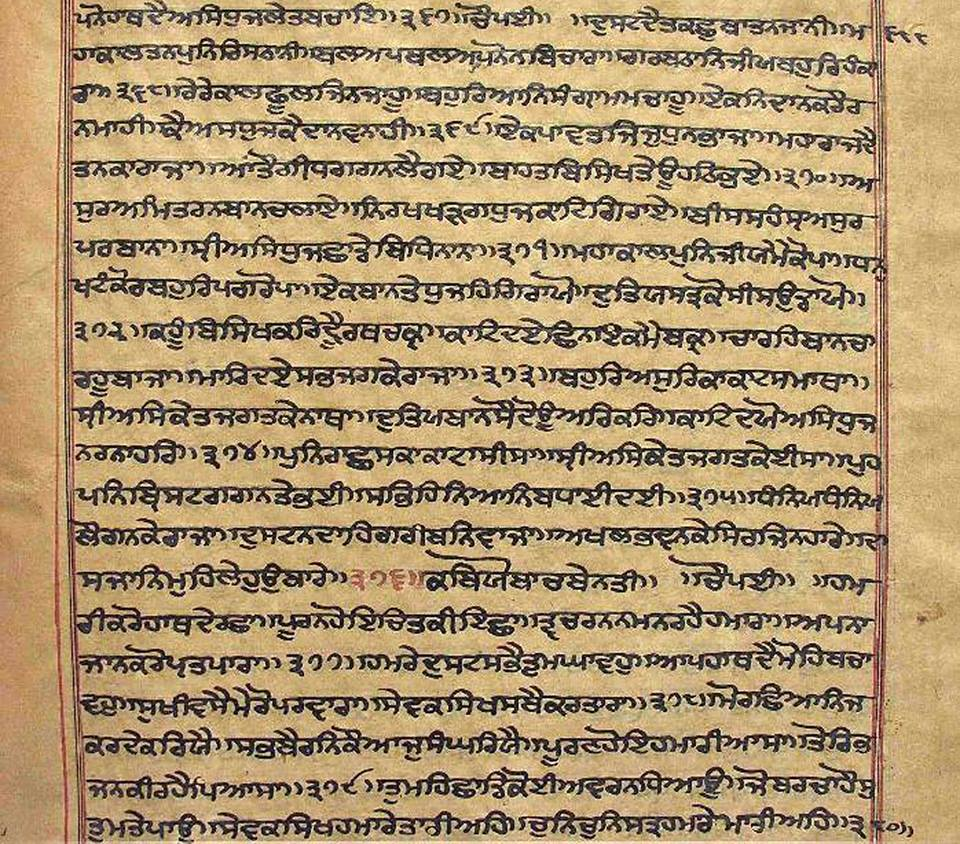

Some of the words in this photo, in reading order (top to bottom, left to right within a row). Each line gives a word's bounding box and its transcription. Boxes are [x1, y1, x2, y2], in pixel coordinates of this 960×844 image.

[68, 1, 394, 35] ਪਨੋਹਾਬਦੈਅਸਿਧुਜਲੇਤਬਰਾਇ
[395, 2, 453, 39] ३६०
[449, 0, 554, 38] ॥ਚੌਪਈ॥
[58, 102, 412, 153] ਨਮਾਹੀ ਕੈਅਸਧੁਜਕੈਦਾਨਵਨਾਹੀ
[424, 107, 496, 148] ੩੬੯
[494, 111, 886, 162] ਏਕਪਾਵਤਜਿਜੁਧੁਨਭਾਜਾ॥ ਮਹਾਰਾਜਦੈ
[65, 144, 773, 194] ਤਨਕਾਰਾਜਾ॥ਆਂਤੌਗੀਧਗਗਨਲੈਗਏ॥ਬਾਹਤਬਿਸਿਖਤੋਊਹਠਿਭਏ।
[779, 159, 829, 195] ੩੭੦
[829, 163, 884, 200] ॥ਅ
[65, 183, 882, 240] ਸੁਰਅਮਿਤਰਨਥਾਨਚਲਾਏ॥ਨਿਰਖਖੜਗਧੁਜਕਾਦਿਗਿਰਾਏ॥ਬੀਸਸਹੰਸਅਸੁਰ
[63, 224, 480, 270] ਪਰਬਾਨਾ ਸ੍ਰੀਅਸਿਧੁਜਛਡੇਬਿਧਿਨਾਨਾ
[491, 233, 556, 269] ੩੭੧
[558, 234, 895, 283] ਮਹਾਕਾਲਪੁਨਿਜੀਯਮੈਕੋਪਾ॥ਧਨ
[72, 312, 135, 350] ੩੭੨
[129, 306, 886, 363] ਕਹੂੰਬਿਸਿਖਕਰਿਦੂੈਰਥਚਕੁ॥ਕਾਟਿਦਏਛਿਨਾਏਕਮੇਬਕੁ॥ਚਾਰਹਿਬਾਨਚਾ
[71, 349, 477, 400] ਰਹੂਬਾਜਾ॥ਮਾਰਿਦਏਸਭਜਗਕੇਰਾਜਾ
[472, 357, 543, 391] ੩੭੩
[539, 357, 883, 399] "ਬਹੁਰਿਅਸੁਰਿਕਾਕਾਟਸਮਾਥਾ"
[66, 430, 200, 473] ਨਰਨਾਹਰਿਾ
[197, 433, 267, 475] ੩੭੪
[269, 434, 890, 481] ਪੁਨਿਰਾਛਸਕਾਕਾਟਾਸੀਸਾ॥ਸ੍ਰੀਅਸਿਕੇਤਜਗਤਕੇਈਸਾ॥ਪੁਰ
[65, 469, 685, 517] ਪਨਿਬਿੑਸਟਗਗਨਤੇਕੁਈ''ਸਭਿਹਿਨਿਆਨਿਬਧਾਈਦਈ'
[680, 479, 740, 514] ੩੭੫
[747, 477, 892, 524] ਧੰਨਿਯਧੰਨਿਯ
[72, 555, 348, 602] ਸਜਾਨਿਮੁਹਿਲੇਹੁਉਬਾਰੇਾਾ
[419, 548, 670, 600] ਕਬਿਯੋਬਾਰਬੇਨਤੀ
[664, 551, 805, 602] ॥ਚੌਪਈ॥
[806, 563, 884, 604] ਹਮ
[67, 595, 886, 648] ਰੀਕਰੋਹਾਥਦੇਰਛਾ॥ਪੂਰਨਹੋਇੳਤਕੀਇਛਾ॥ੜ੍ਹਚਰਨਨਮਨਰਹੈਹਮਾਰਾ॥ਅਪਨਾ
[71, 635, 284, 684] ਜਾਨਕਰੋਪਤਪਾਰਾ॥
[282, 644, 344, 681] ੩੭੭
[353, 633, 884, 686] ਹਮਰੇਦੁਸਟਸਭੈਤੁਮਘਾਵਹੁ॥ਆਪਹਾਥਦੈਮੋਹਿਬਚਾ
[72, 679, 649, 727] ਵਚ॥ਸੁਖੀਵਸੈਮੇਰੋਪਰਵਾਰਾ॥ਸੇਵਕਸਿਖਸਬੈਕਰਤਾਰਾ॥
[644, 683, 700, 717] ੩੭੯
[695, 676, 887, 723] ਮੋਗਉਆਨਿਜ
[73, 716, 883, 769] ਕਰਦੇਕਰਿਯੈ॥ਸਭਬੈਰਨਿਕੌਆਜੁਸੰਘਰਿਯੈ॥ਪੂਰਣਹੋਇਹਮਾਰੀਆਸਾ॥ਤੋਰਿਭ
[81, 761, 301, 808] ਜਨਕੀਰਹੈਪਿਆਸਾ
[299, 761, 376, 807] ੩੭੯
[375, 755, 883, 810] ਤੁਮਹਿਛਾਡਿਕੋਈਅਵਰਨਧਿਆਊ॥ਜੋਬਰਚਾਹੈਸੁ
[72, 799, 846, 843] ਤੁਮਤੇਪਾਉ॥ਸੇਵਕਸਿਖਹਮਾਰੇਤਾਰੀਅਹਿ॥ਚੁਨਿਚੁਨਿਸਙਹਮਰੇਮਾਰੀਅਹਿ॥